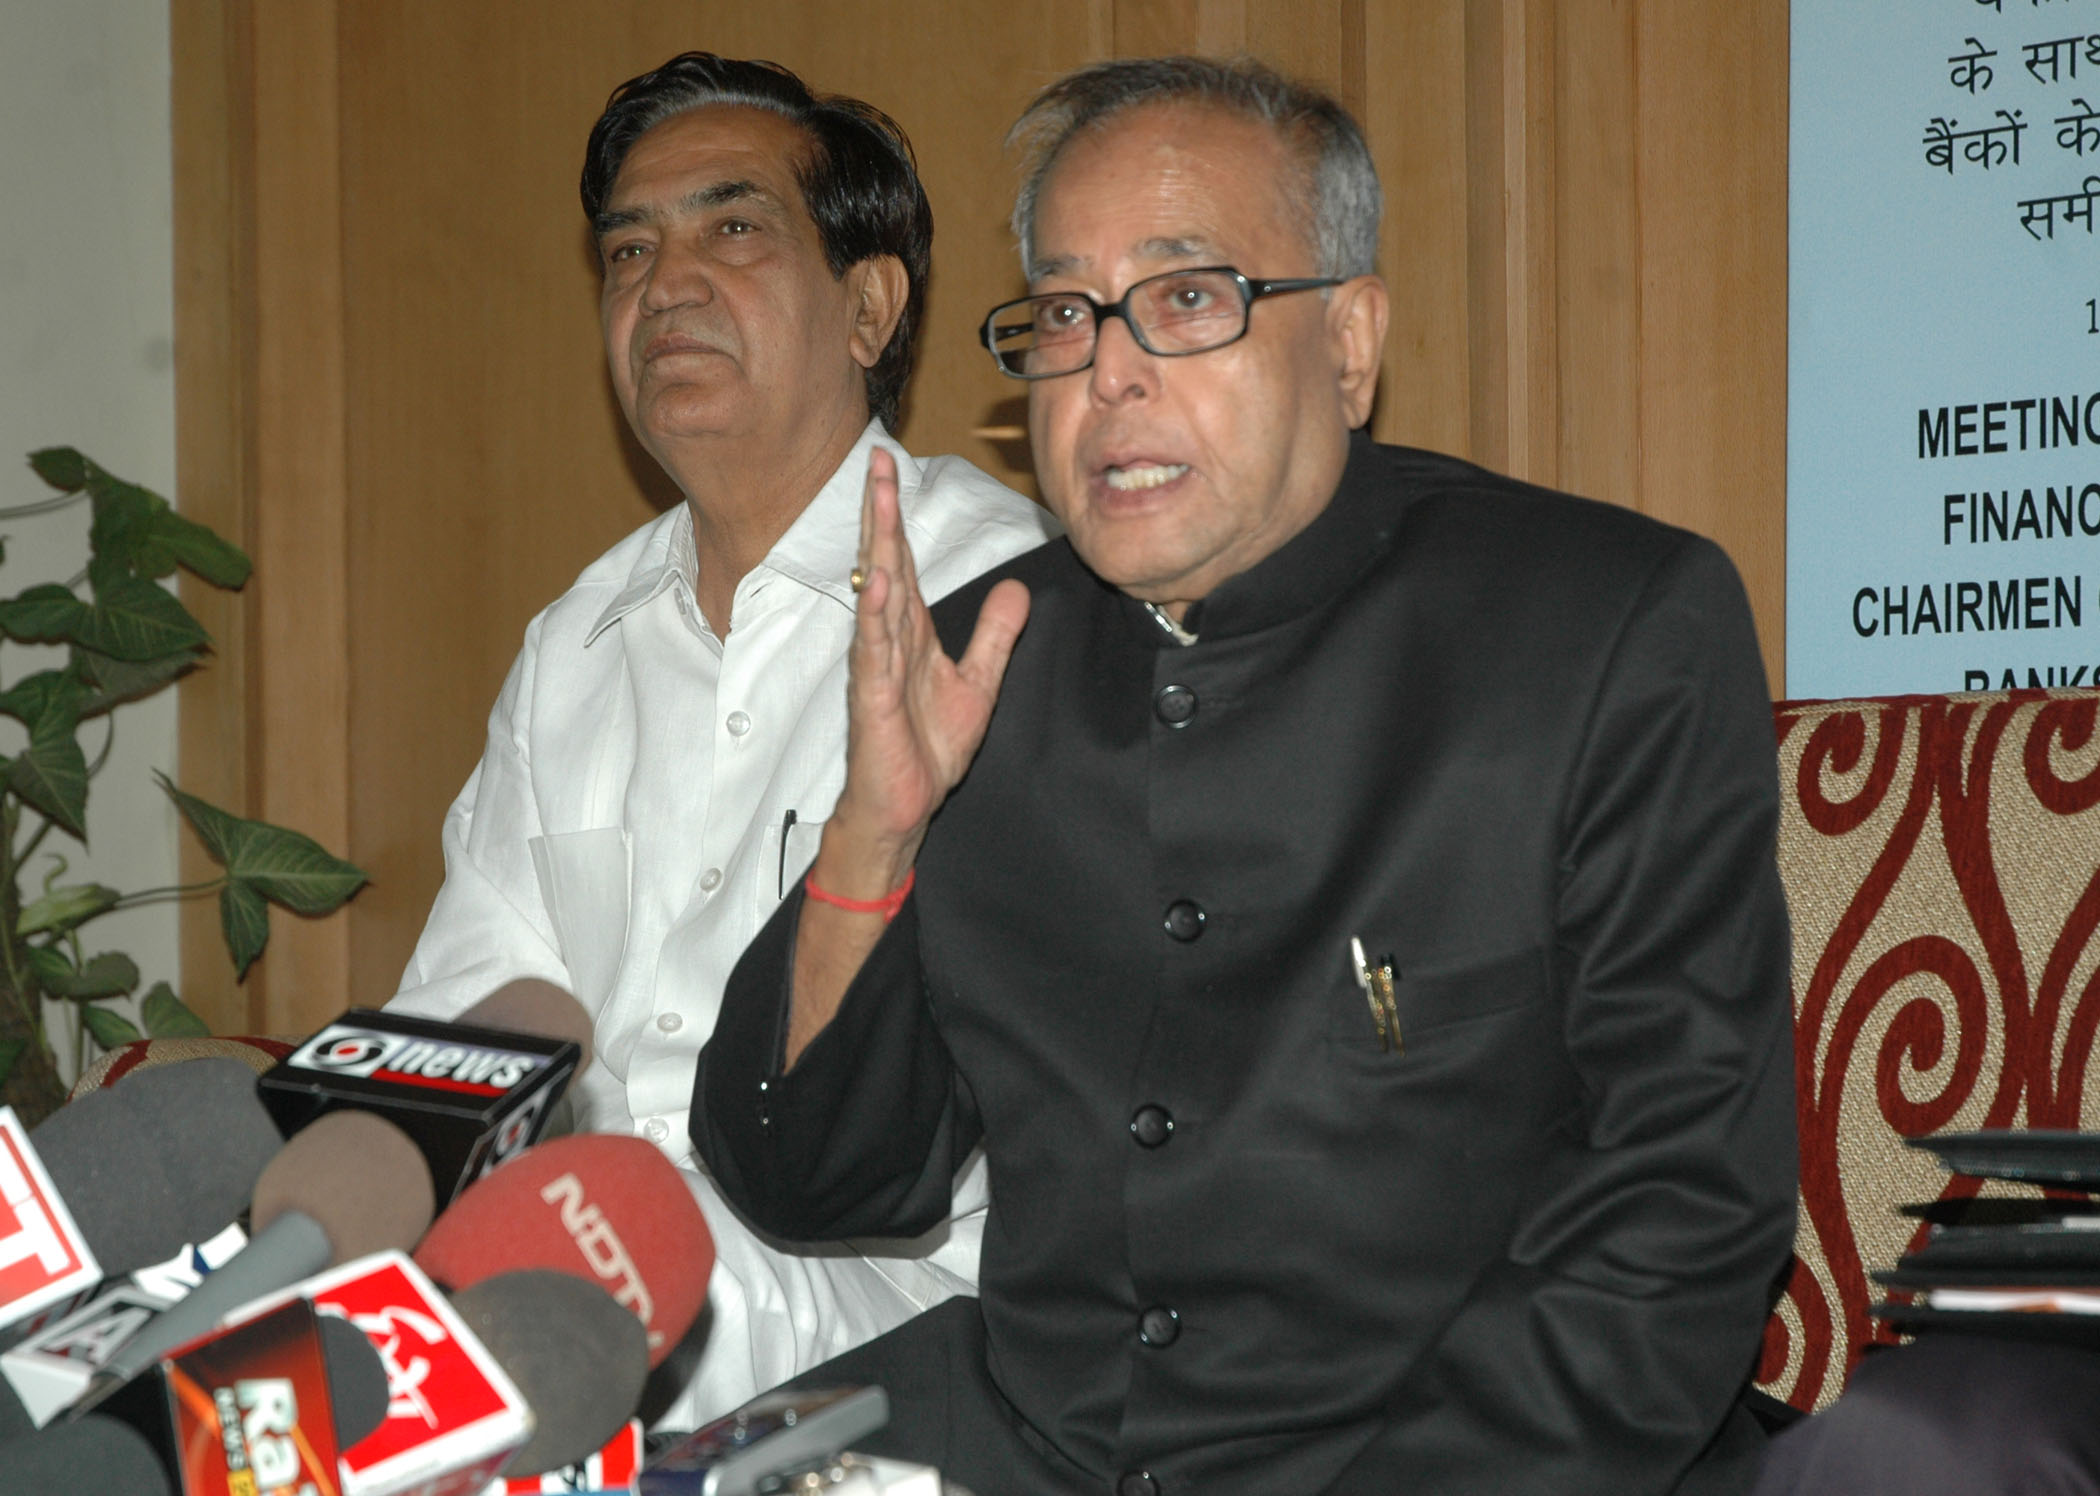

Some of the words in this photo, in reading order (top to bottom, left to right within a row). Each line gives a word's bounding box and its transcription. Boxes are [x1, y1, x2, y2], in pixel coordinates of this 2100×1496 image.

[1946, 28, 2000, 102] के
[2019, 29, 2099, 89] साथ
[1917, 103, 2031, 177] बैंकों
[2053, 90, 2099, 160] के
[2007, 175, 2100, 246] सर्म
[1917, 390, 2097, 463] MEETIN
[1941, 481, 2099, 547] FINANC
[1848, 572, 2086, 643] CHAIRMEN
[380, 1036, 538, 1095] news
[533, 1164, 662, 1331] ND